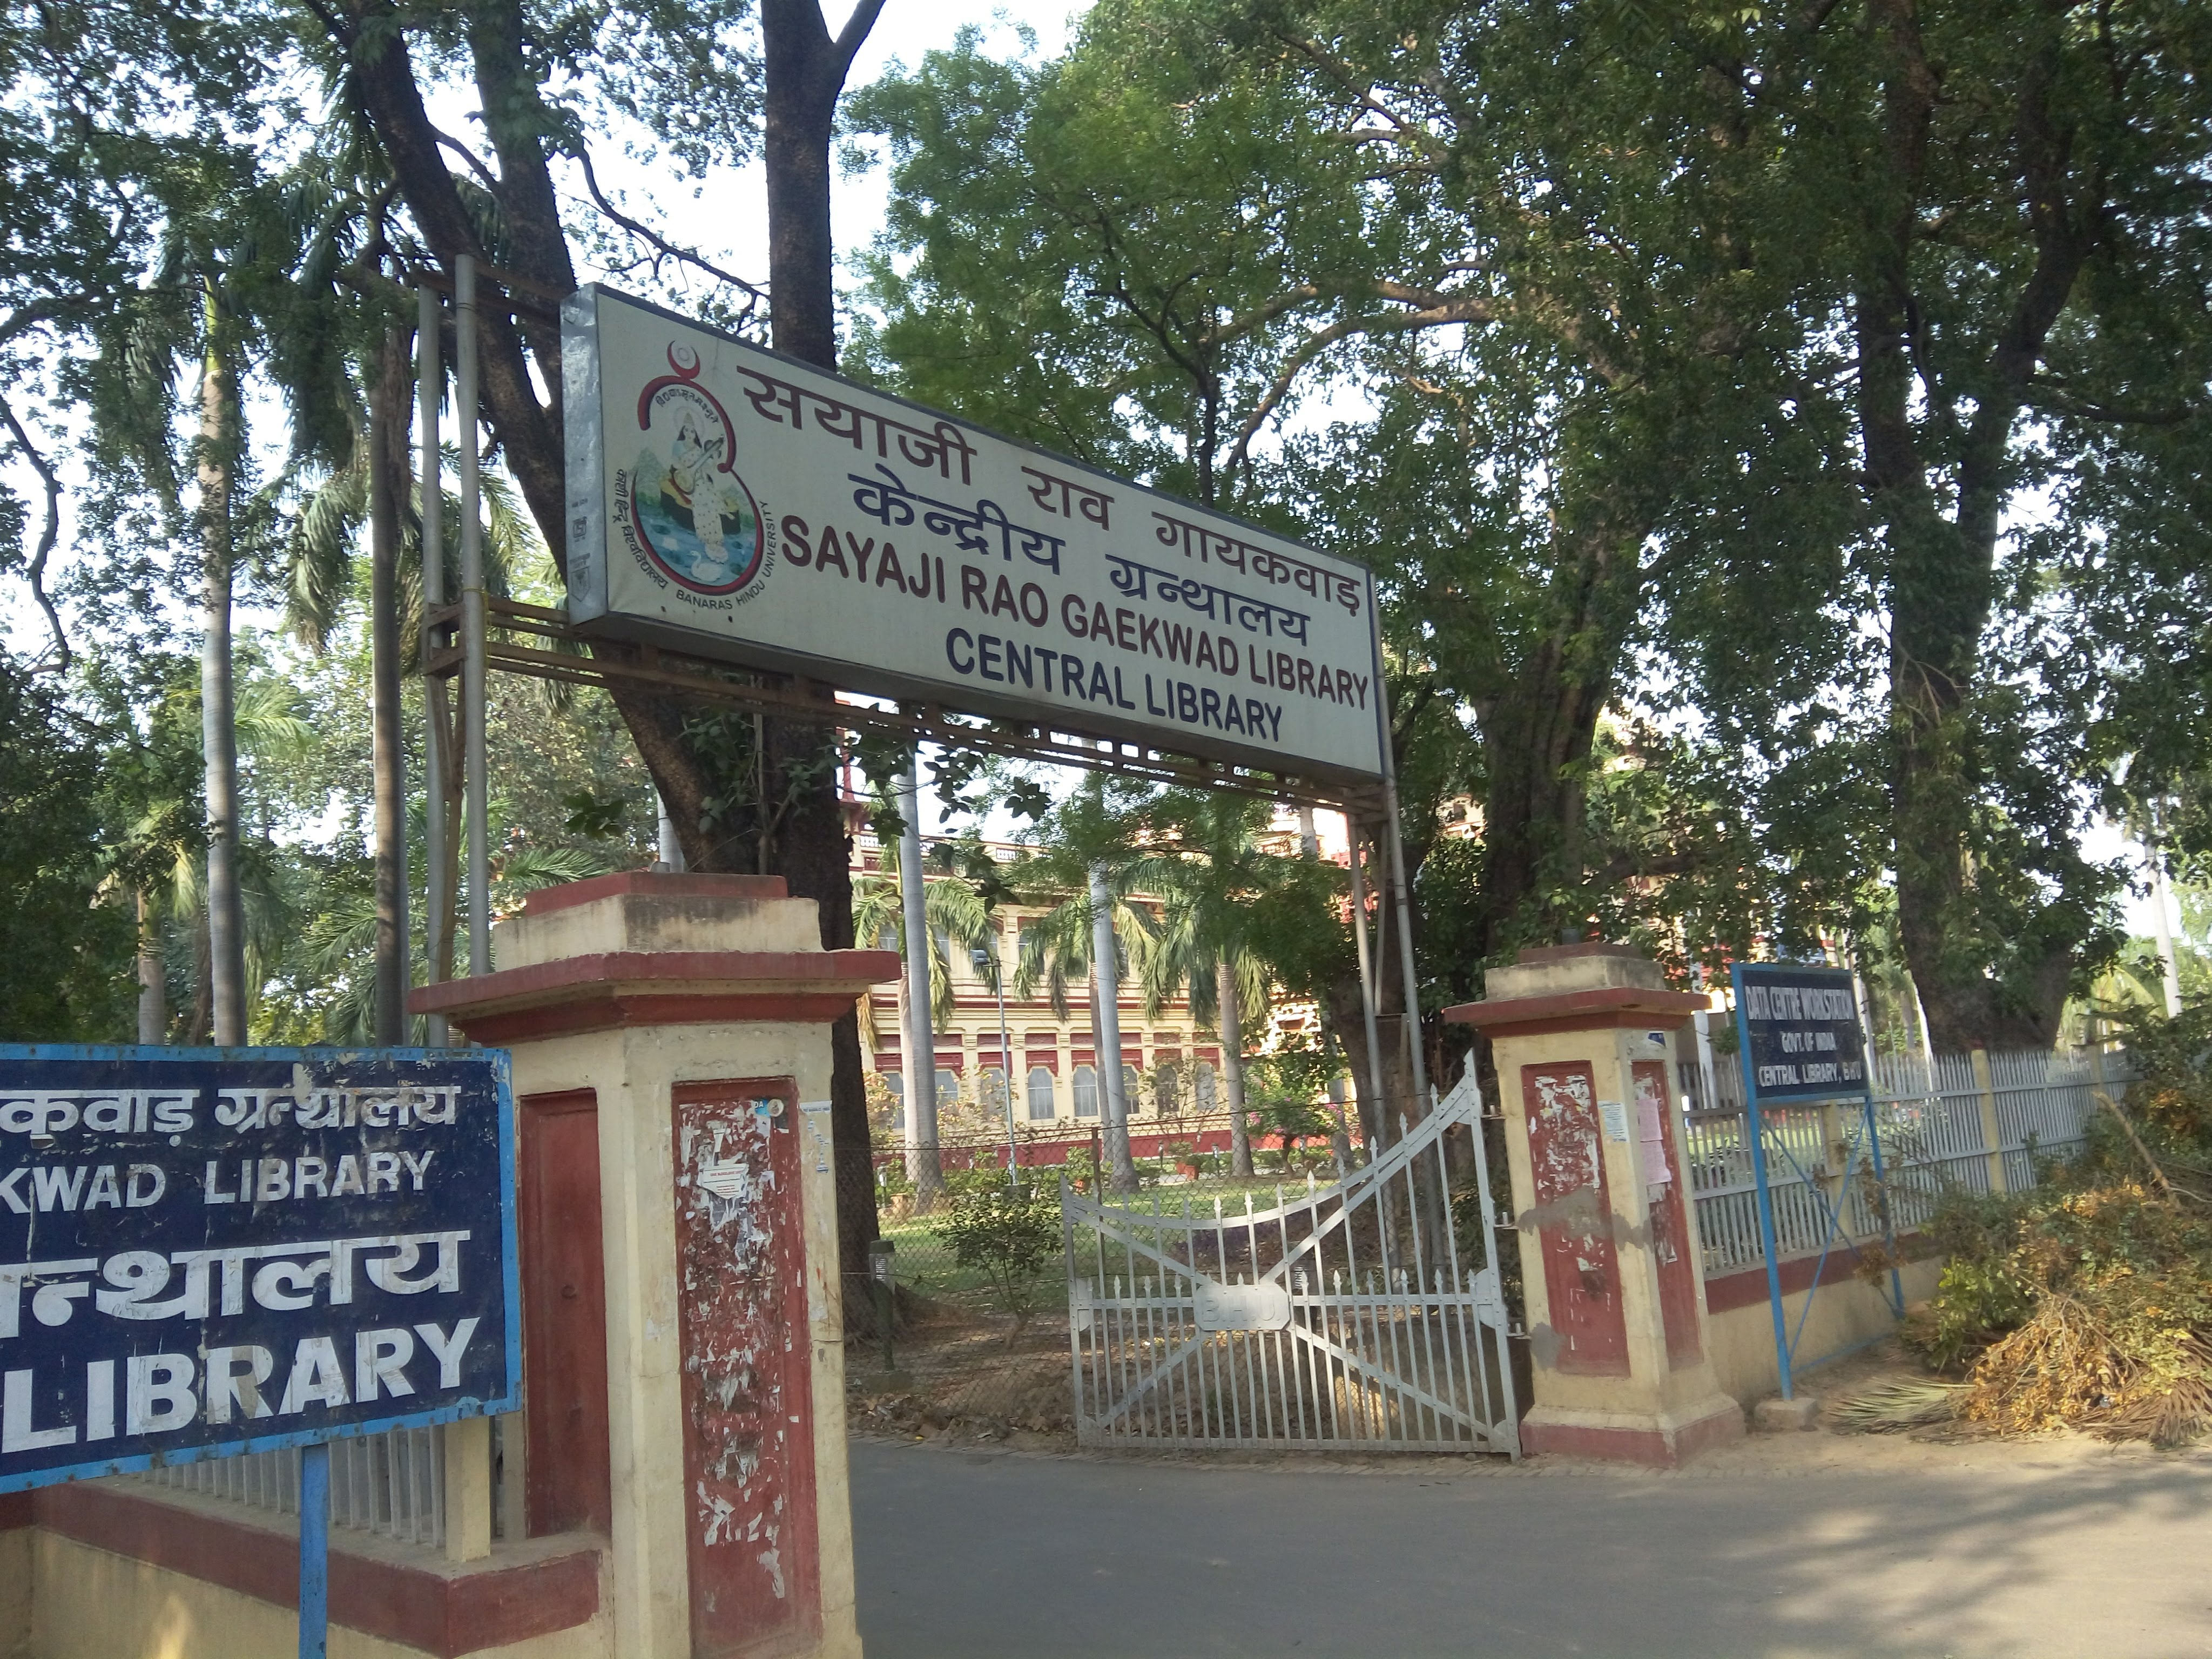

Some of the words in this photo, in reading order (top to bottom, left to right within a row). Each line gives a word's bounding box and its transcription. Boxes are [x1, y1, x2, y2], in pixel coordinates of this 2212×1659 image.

[738, 361, 980, 489] सयाजी
[609, 494, 631, 525] हिन्द्र
[611, 466, 631, 501] काशी
[616, 523, 671, 592] विश्वविधालय
[672, 585, 736, 612] BANARAS
[731, 576, 767, 609] HINDU
[757, 497, 780, 582] UNIVERSITY
[776, 510, 947, 607] SAYAJI
[843, 458, 1068, 580] केन्द्रीय
[961, 563, 1053, 631] RAO
[940, 625, 1137, 713] CENTRAL
[1021, 462, 1118, 534] राव
[1058, 590, 1240, 679] GAEKWAD
[1105, 549, 1313, 651] ग्रन्थालय
[1141, 669, 1284, 744] LIBRARY
[1151, 507, 1362, 621] गायकवाड़
[1247, 640, 1371, 711] LIBRARY
[1742, 980, 1775, 1023] DATA
[1769, 982, 1804, 1023] CENTRE
[0, 1083, 201, 1150] कवाड़
[212, 1081, 464, 1136] ग्रन्थालय
[1756, 1063, 1803, 1090] CENTRAL
[1778, 1029, 1839, 1056] GOVT.OFINDIA
[1799, 1058, 1840, 1086] LIBRARY
[2, 1162, 171, 1219] KWAD
[199, 1146, 439, 1209] LIBRARY
[1, 1226, 474, 1343] न्थालय
[2, 1313, 483, 1456] LIBRARY